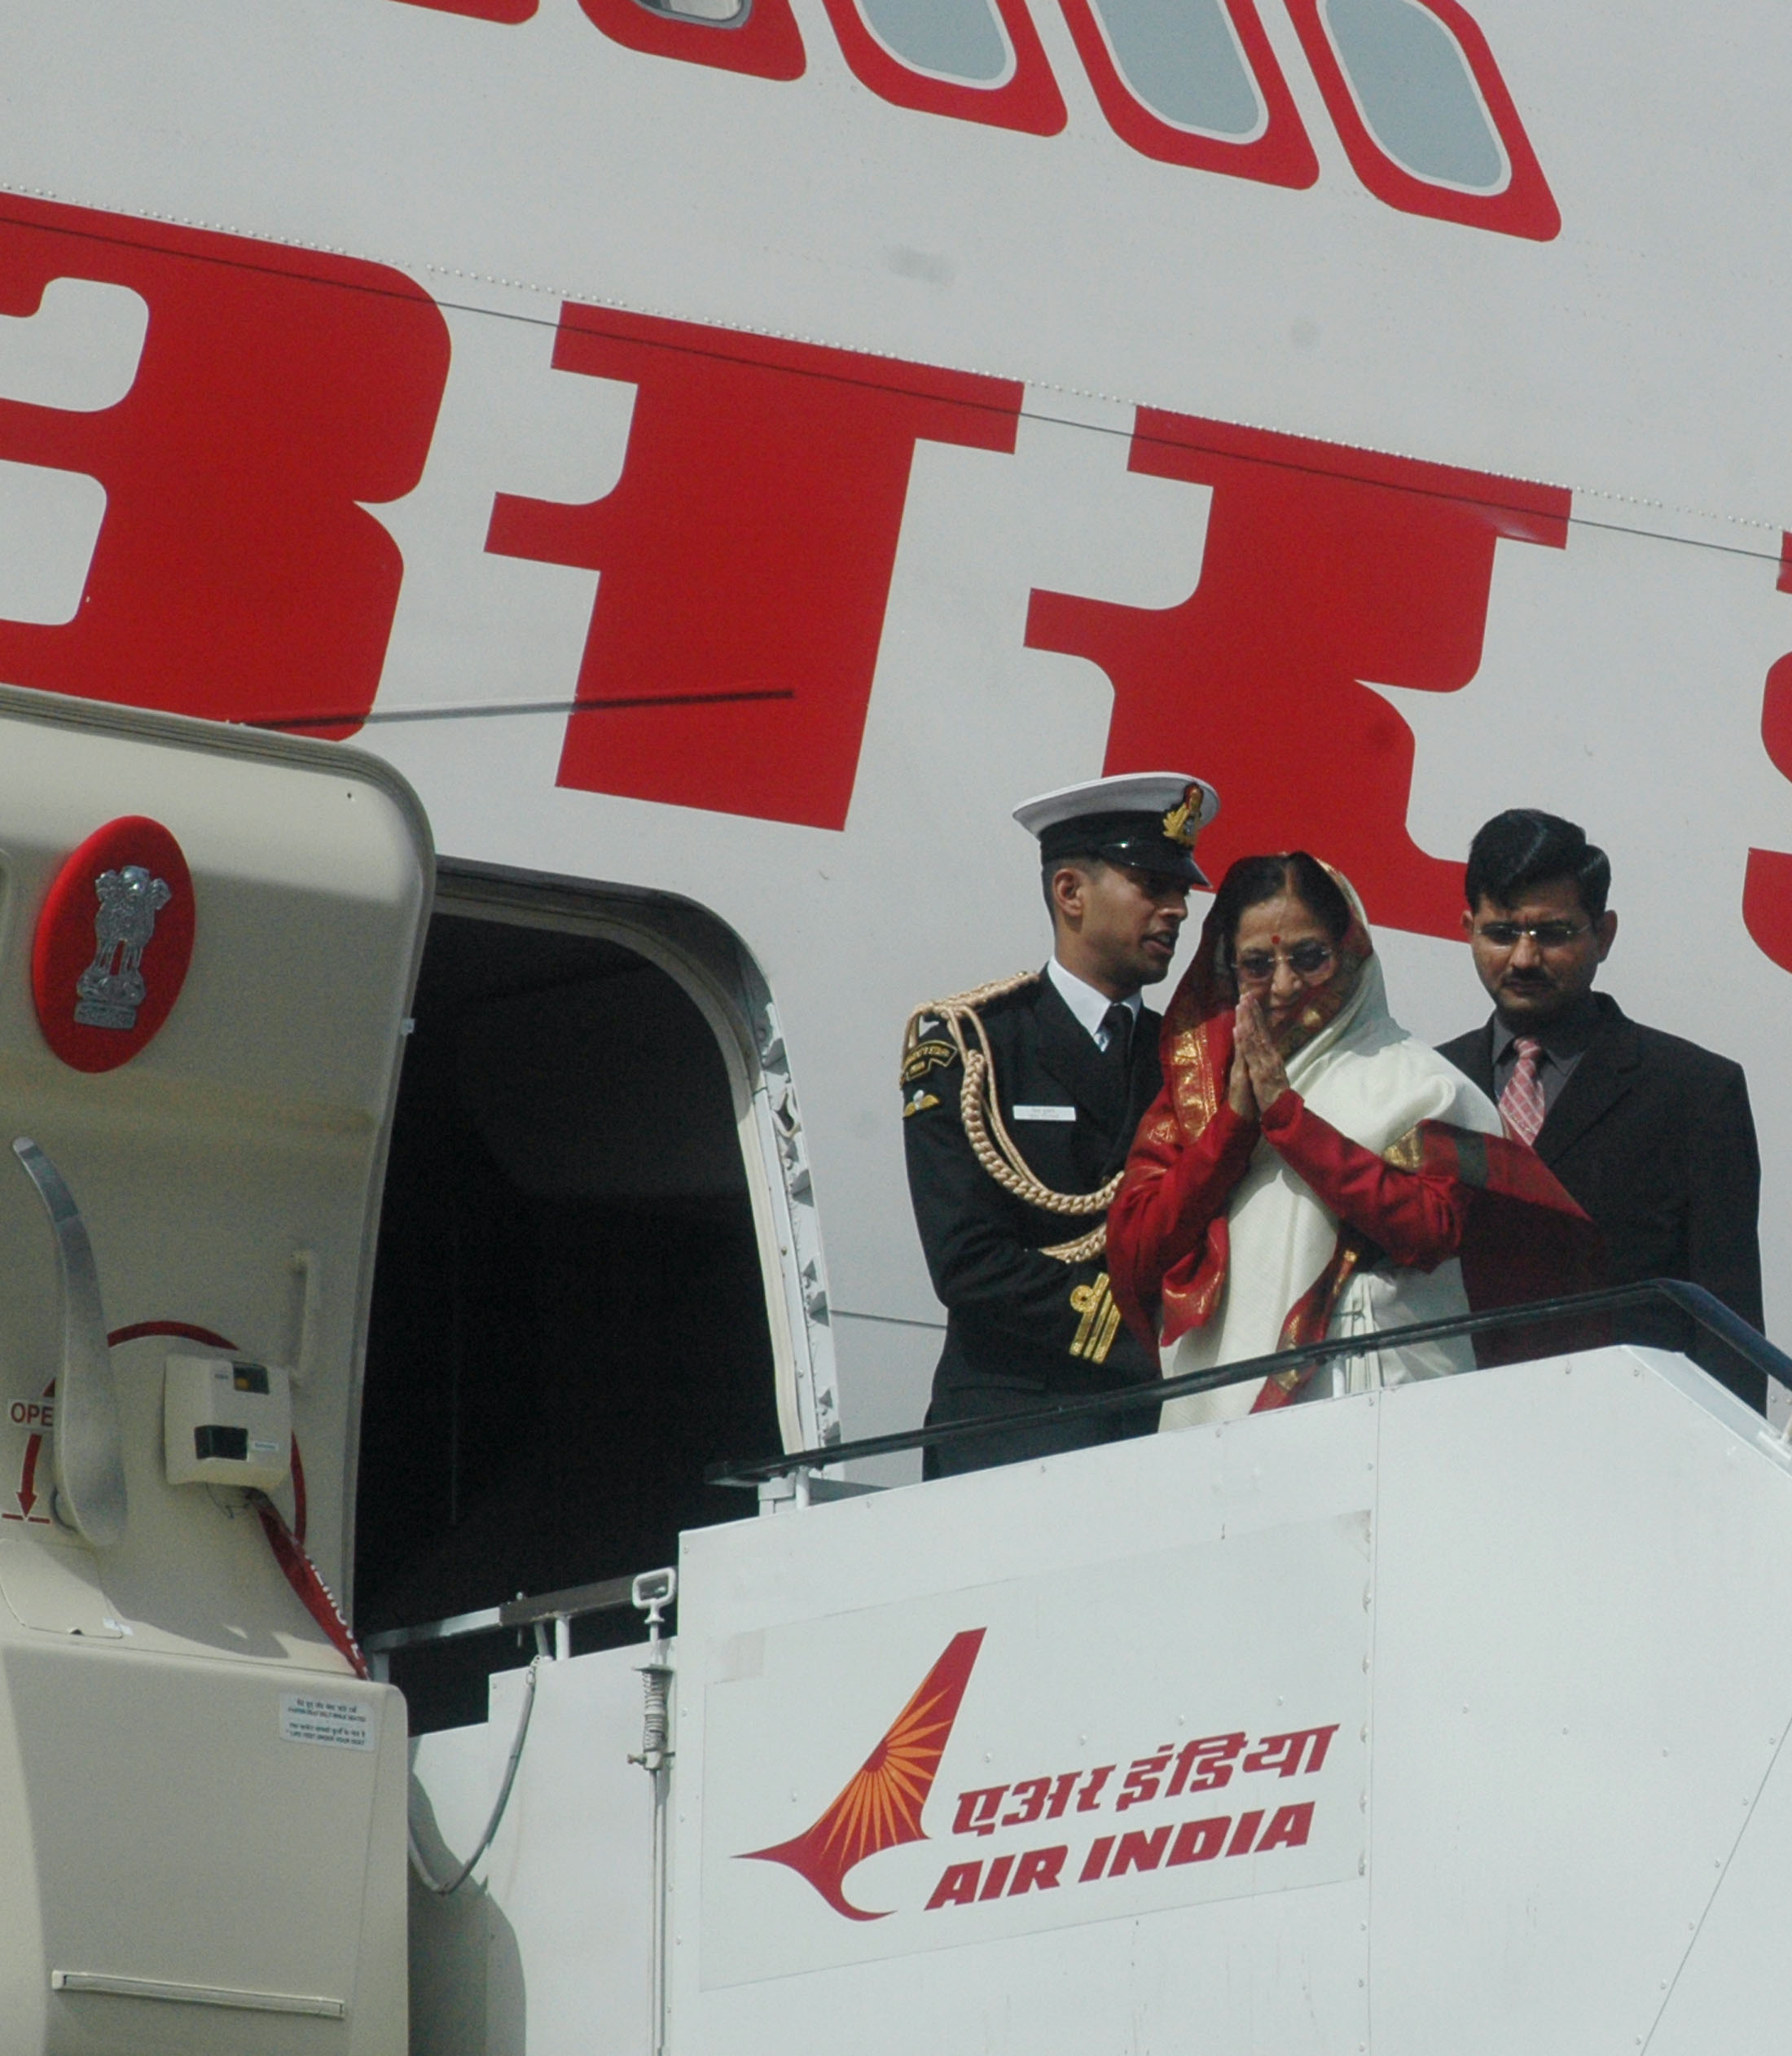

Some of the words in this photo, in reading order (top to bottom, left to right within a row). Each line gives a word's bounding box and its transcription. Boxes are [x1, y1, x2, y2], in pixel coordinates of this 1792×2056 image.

[2, 192, 1580, 960] अर
[925, 1842, 1069, 1913] AIR
[949, 1764, 1119, 1839] एअर
[1075, 1800, 1318, 1885] INDIA
[1112, 1719, 1342, 1813] इंडिया